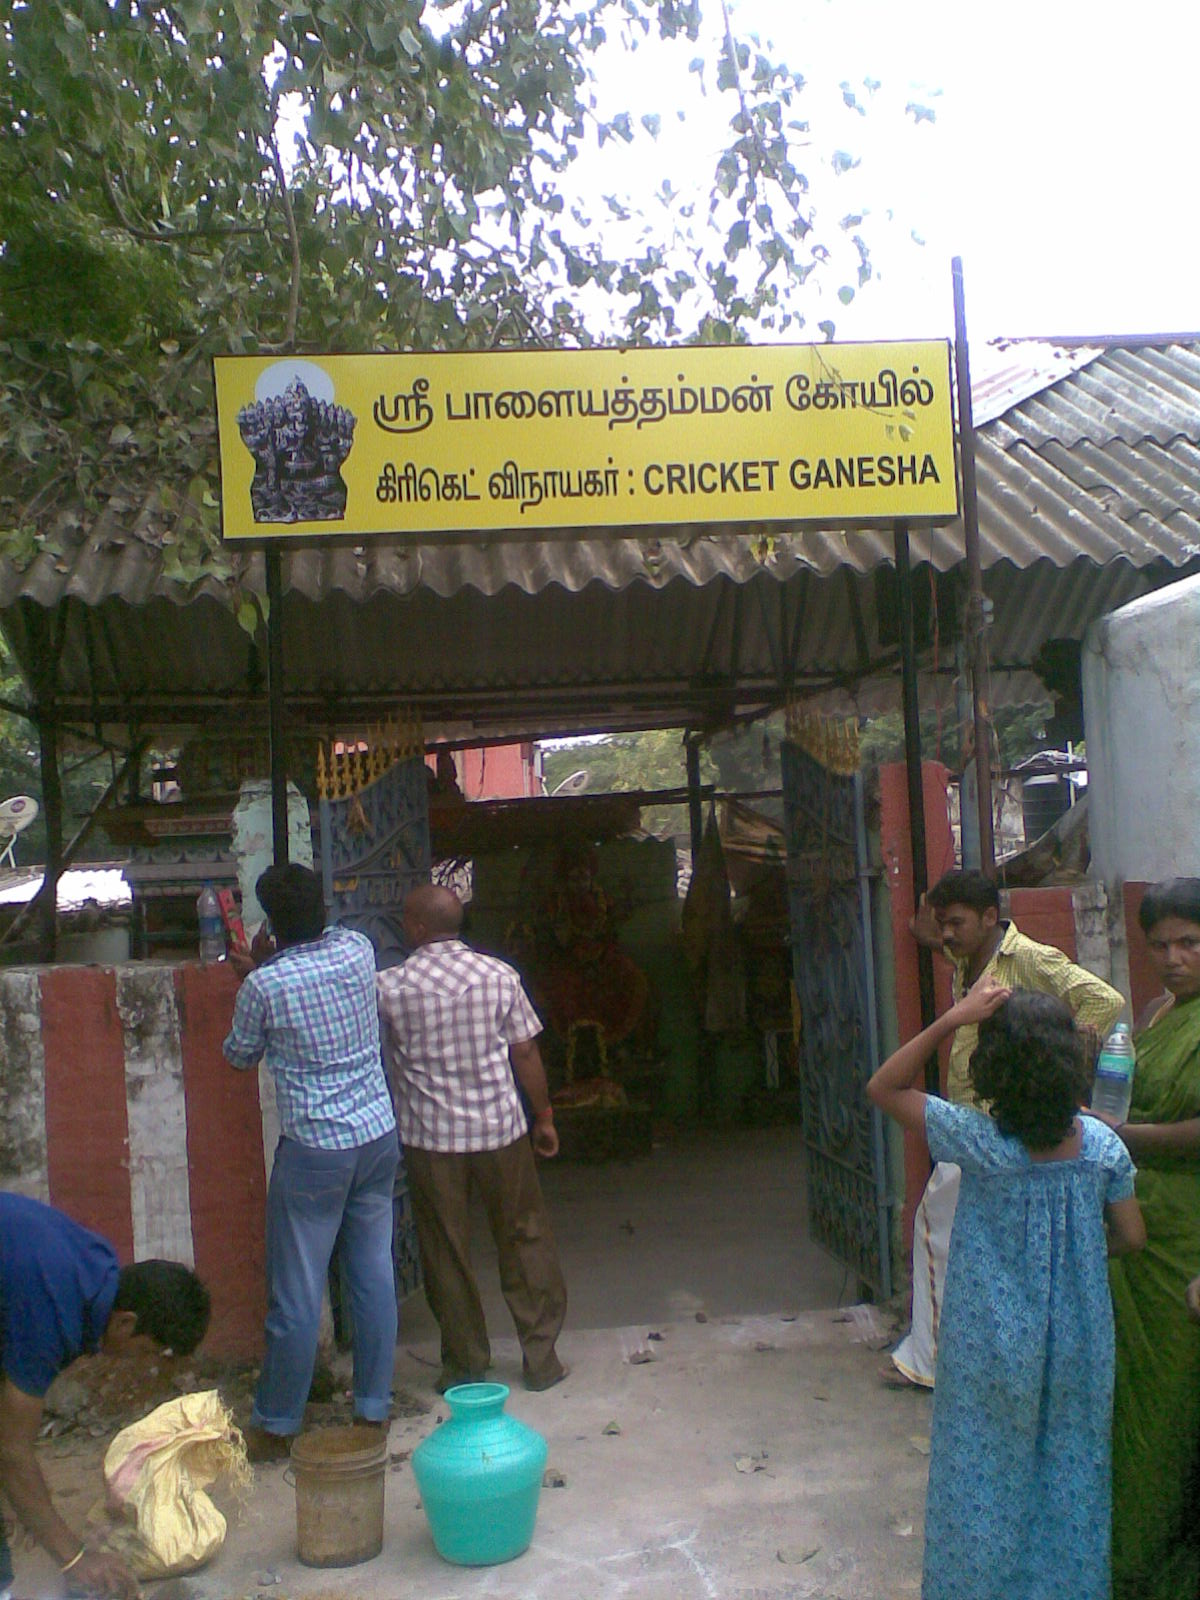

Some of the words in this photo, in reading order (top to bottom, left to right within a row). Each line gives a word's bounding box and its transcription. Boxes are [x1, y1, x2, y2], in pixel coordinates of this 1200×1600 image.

[369, 367, 439, 441] ஸ்ரீ
[439, 369, 777, 434] பாளையத்தம்மன்
[783, 361, 941, 415] கோயில்
[373, 455, 484, 507] கிாிகெட்
[482, 450, 622, 519] விநாயகா்
[642, 457, 784, 499] CRICKET
[787, 446, 942, 493] GANESHA